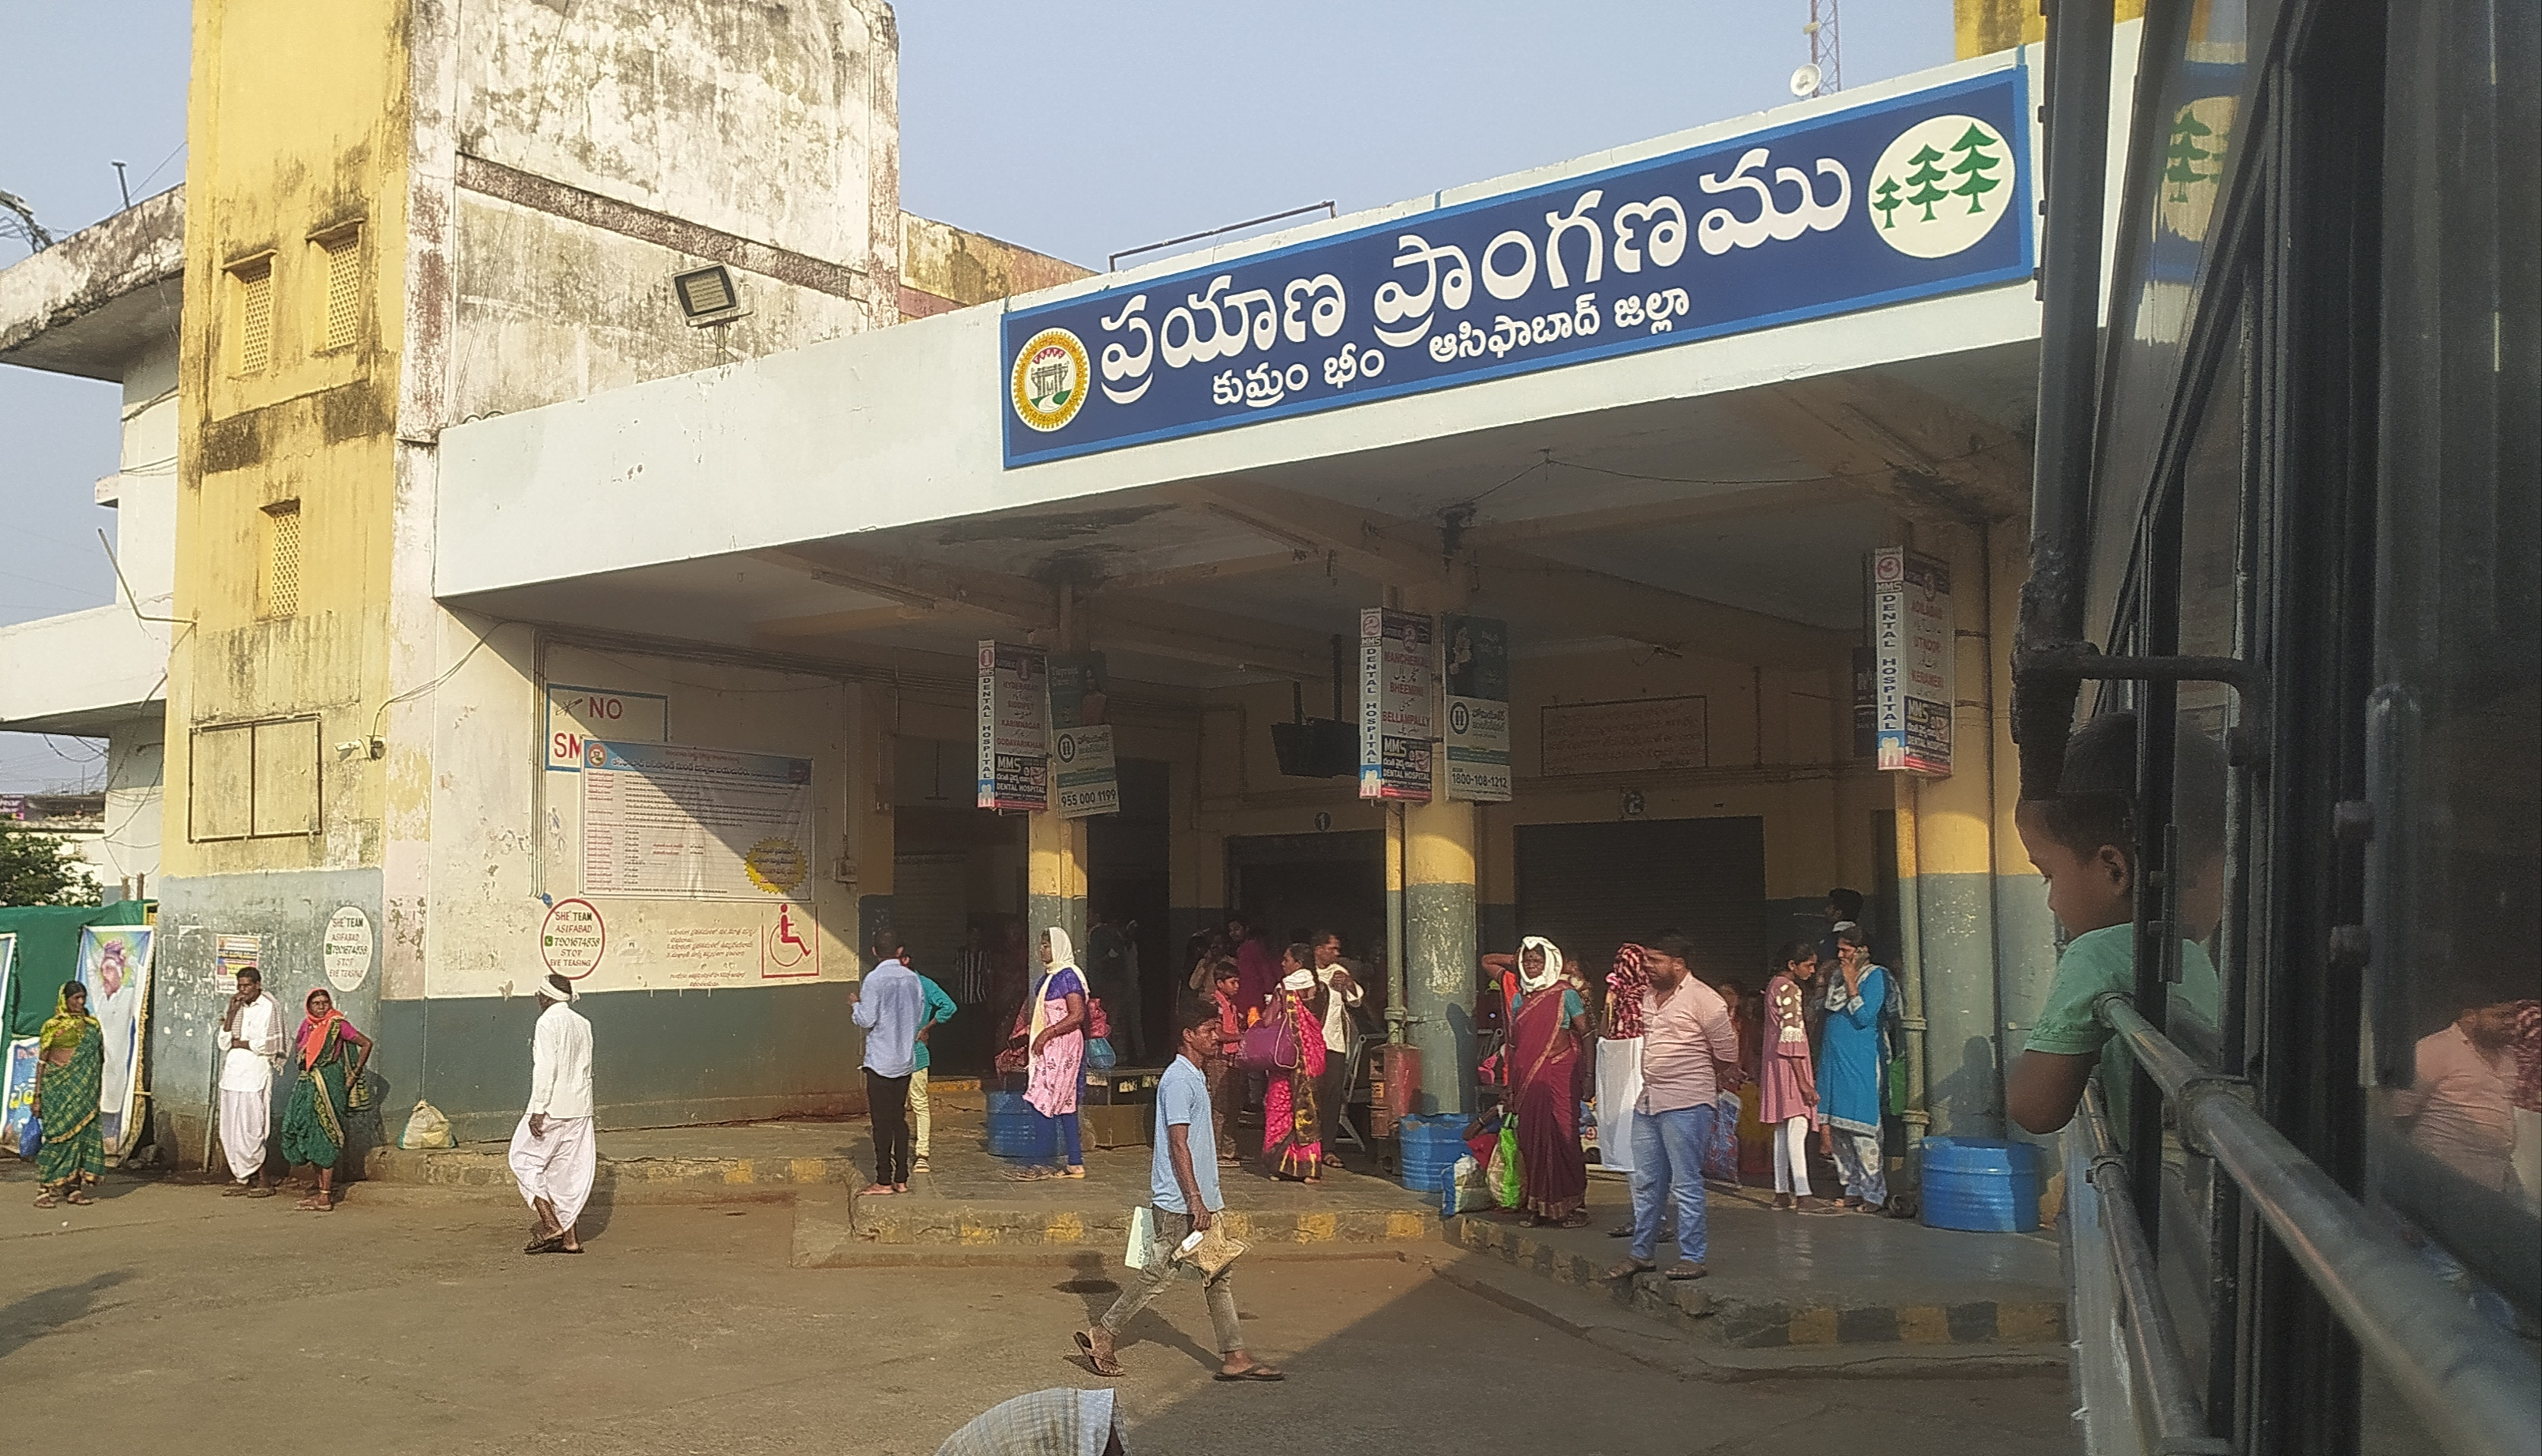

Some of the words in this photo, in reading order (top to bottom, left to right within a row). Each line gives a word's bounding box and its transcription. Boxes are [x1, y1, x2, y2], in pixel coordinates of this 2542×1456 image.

[1693, 141, 1861, 262] ము
[1365, 180, 1693, 354] ప్రాంగణ
[1089, 266, 1356, 412] ప్రయాణ
[1202, 350, 1316, 426] కుమ్రం
[1313, 333, 1392, 397] భీం
[1419, 287, 1604, 373] ఆసిఫాబాద్
[1601, 280, 1695, 342] జల్లా